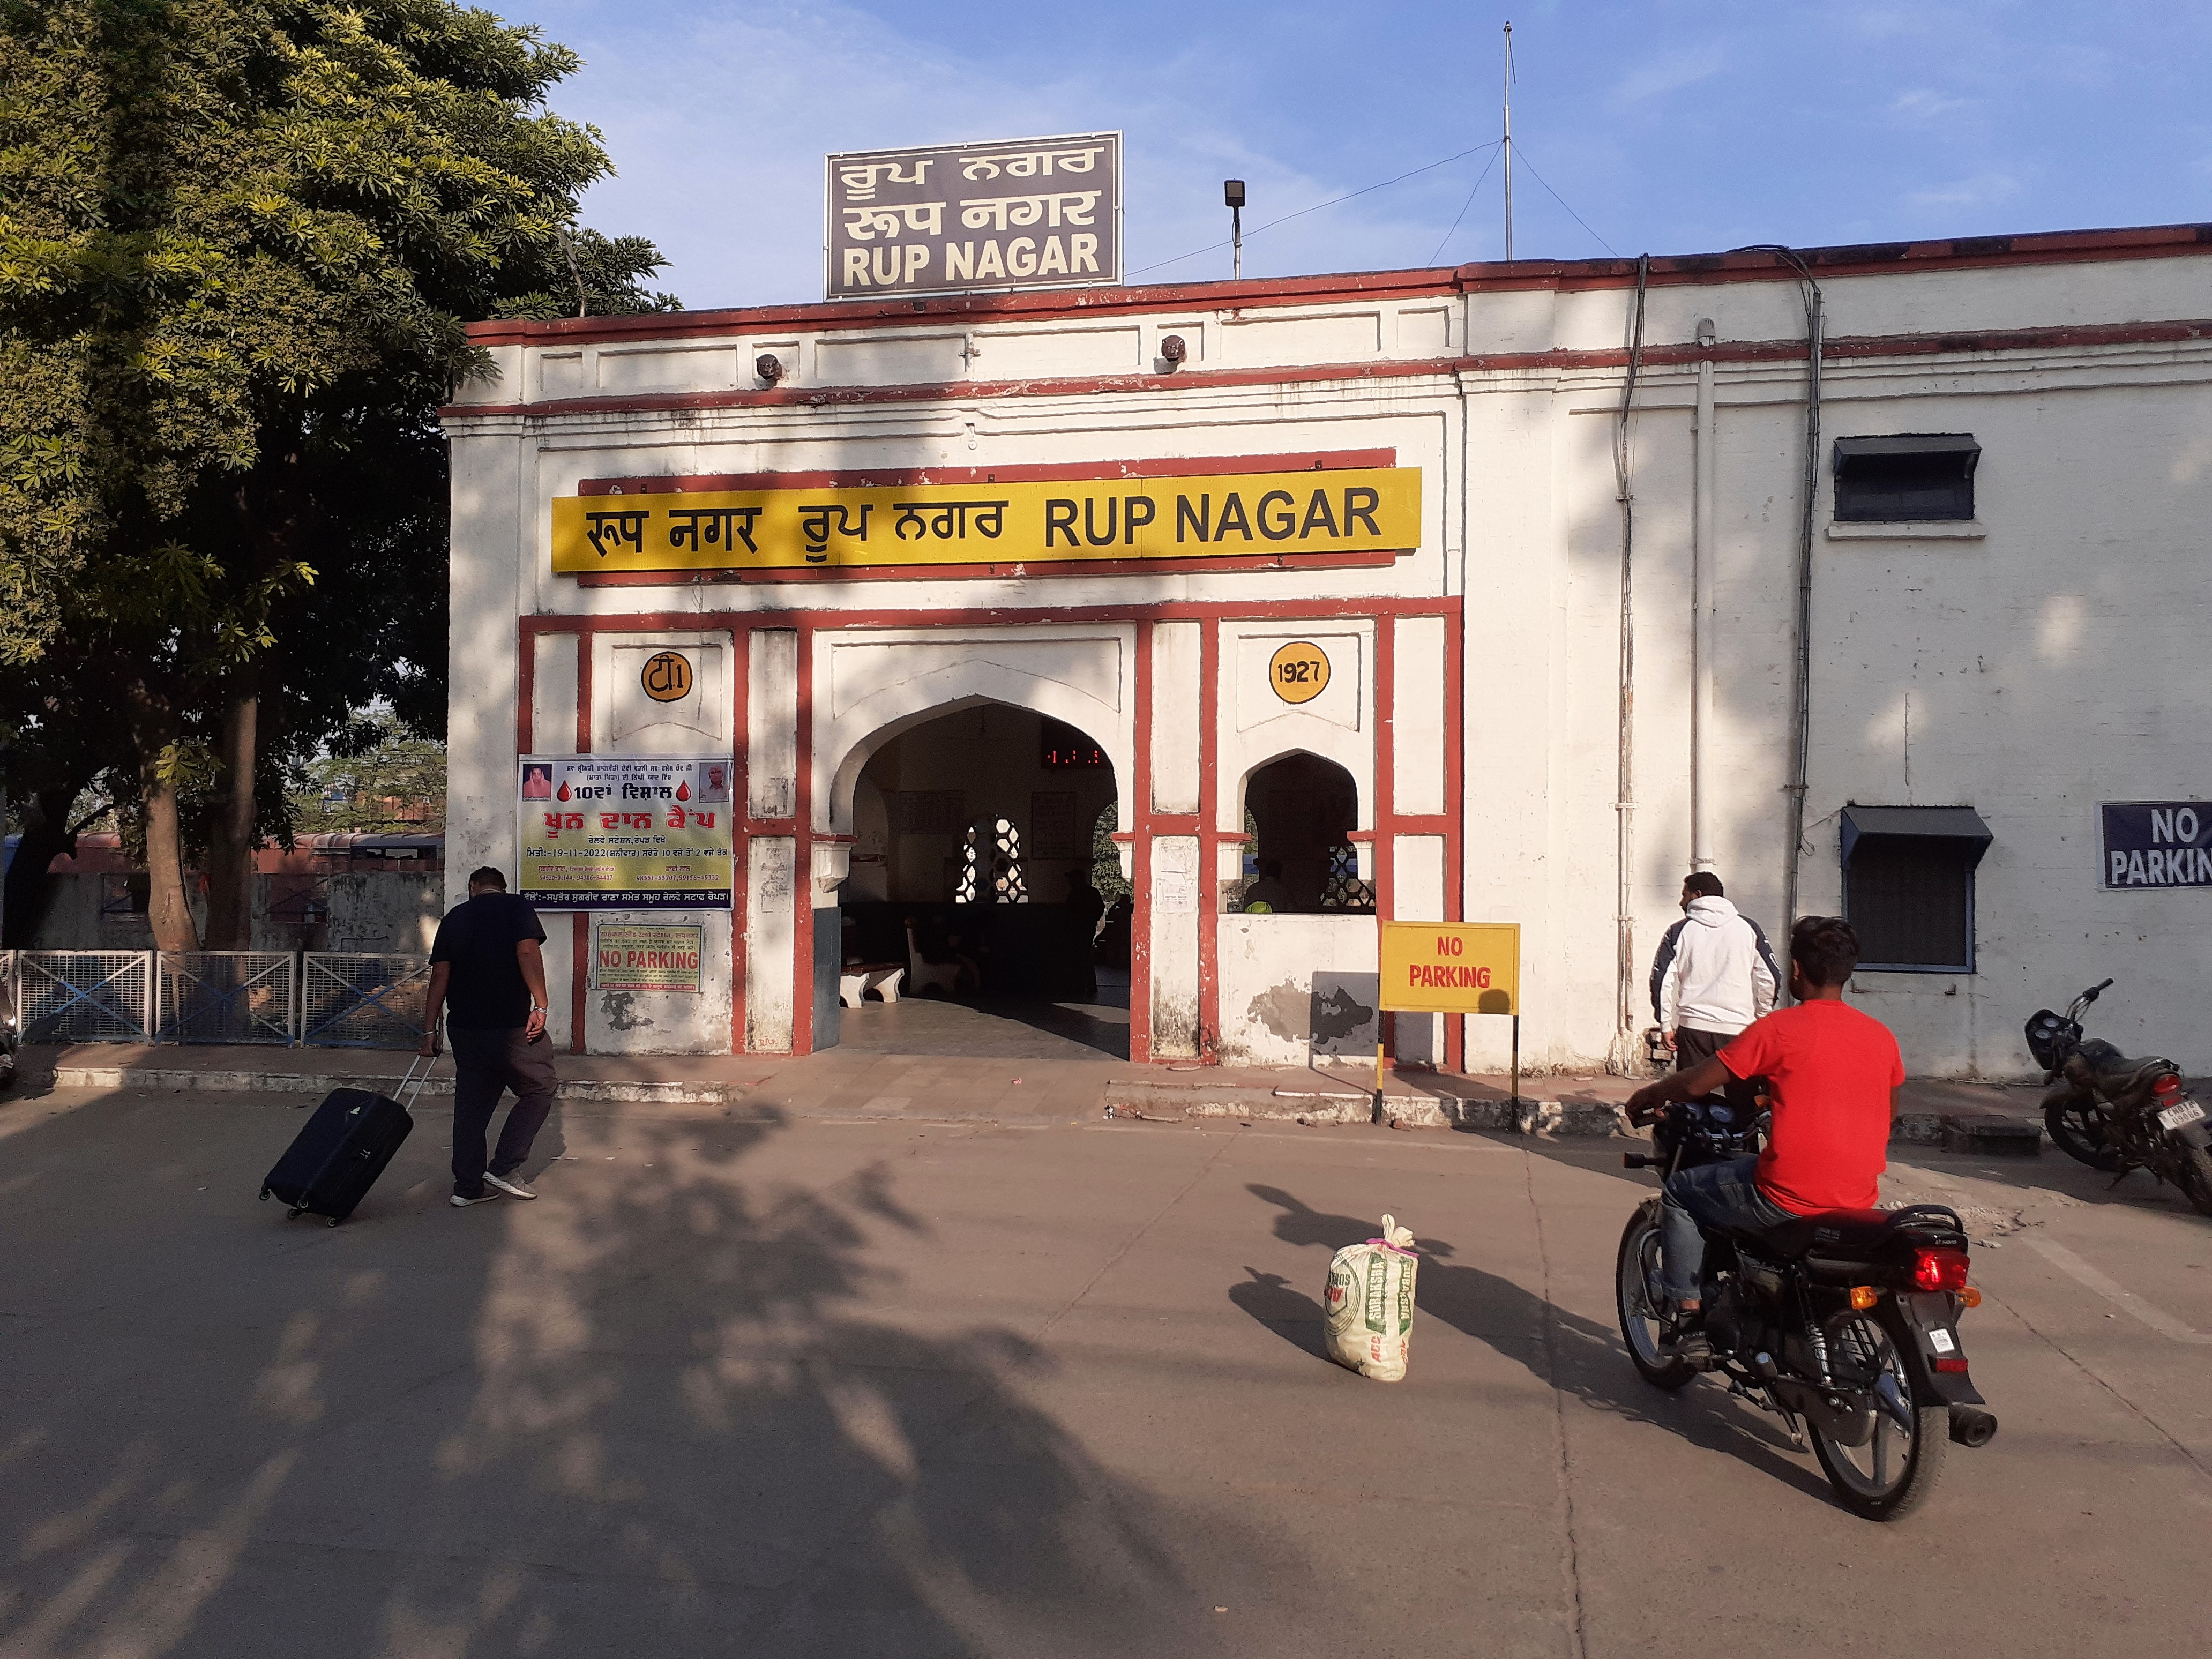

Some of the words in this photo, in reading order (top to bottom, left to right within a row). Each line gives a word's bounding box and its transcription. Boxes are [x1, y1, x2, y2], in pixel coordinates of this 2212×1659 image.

[956, 145, 1107, 186] ਨਗਰ
[835, 157, 943, 203] ਰੂਪ
[840, 196, 949, 242] रूप
[953, 183, 1107, 237] नगर
[938, 229, 1104, 285] NAGAR
[838, 240, 931, 293] RUP
[574, 504, 656, 566] रूप
[663, 503, 771, 557] नगर
[793, 497, 880, 566] ਰੂਪ
[883, 497, 1013, 544] ਨਗਰ
[1037, 492, 1159, 554] RUP
[1169, 482, 1392, 549] NAGAR
[644, 651, 692, 700] ਟੀ1
[1273, 658, 1324, 684] 1927
[573, 783, 594, 801] 10
[592, 782, 614, 802] ਵਾਂ
[618, 781, 676, 802] ਵਿਸ਼ਾਲ
[539, 809, 588, 842] ਖੂਨ
[595, 809, 655, 832] ਦਾਨ
[660, 802, 721, 834] ਕੈਂਪ
[2145, 803, 2202, 846] NO
[585, 832, 607, 846] ਰੇਲਵੇ
[606, 832, 632, 846] ਸਟੇਸ਼ਨ
[632, 832, 651, 845] ਰੋਪੜ
[651, 832, 668, 845] ਵਿਖੇ
[525, 843, 544, 858] ਮਿਤੀ
[551, 846, 608, 858] 19-11-2022
[607, 846, 638, 858] ਸ਼ਨੀਵਾਰ
[640, 846, 661, 858] ਸਵੇਰੇ
[661, 847, 672, 858] 10
[671, 843, 685, 858] ਵਜੇ
[684, 844, 695, 857] ਤੋ
[694, 846, 701, 858] 2
[701, 846, 716, 858] ਵਜੇ
[715, 846, 729, 858] ਤੱਕ
[2106, 845, 2211, 887] PARKI
[537, 873, 575, 883] 94630-01144,
[574, 872, 616, 882] 94306-84407
[633, 872, 677, 881] 98551-55707
[676, 872, 721, 882] 99158-49332
[545, 891, 571, 905] ਸਪੁਤੱਰ
[571, 891, 600, 905] ਸੁਗਰੀਵ
[599, 890, 621, 905] ਰਾਣਾ
[620, 890, 641, 904] ਸਮੇਤ
[641, 889, 662, 906] ਸਮੂਹ
[661, 889, 683, 905] ਰੇਲਵੇ
[682, 890, 707, 905] ਸਟਾਫ
[706, 889, 729, 905] ਰੋਪੜ।
[1432, 933, 1467, 960] NO
[599, 949, 626, 968] NO
[624, 950, 700, 970] PARKING
[1404, 961, 1496, 991] PARKING
[1369, 1332, 1386, 1365] ACC,